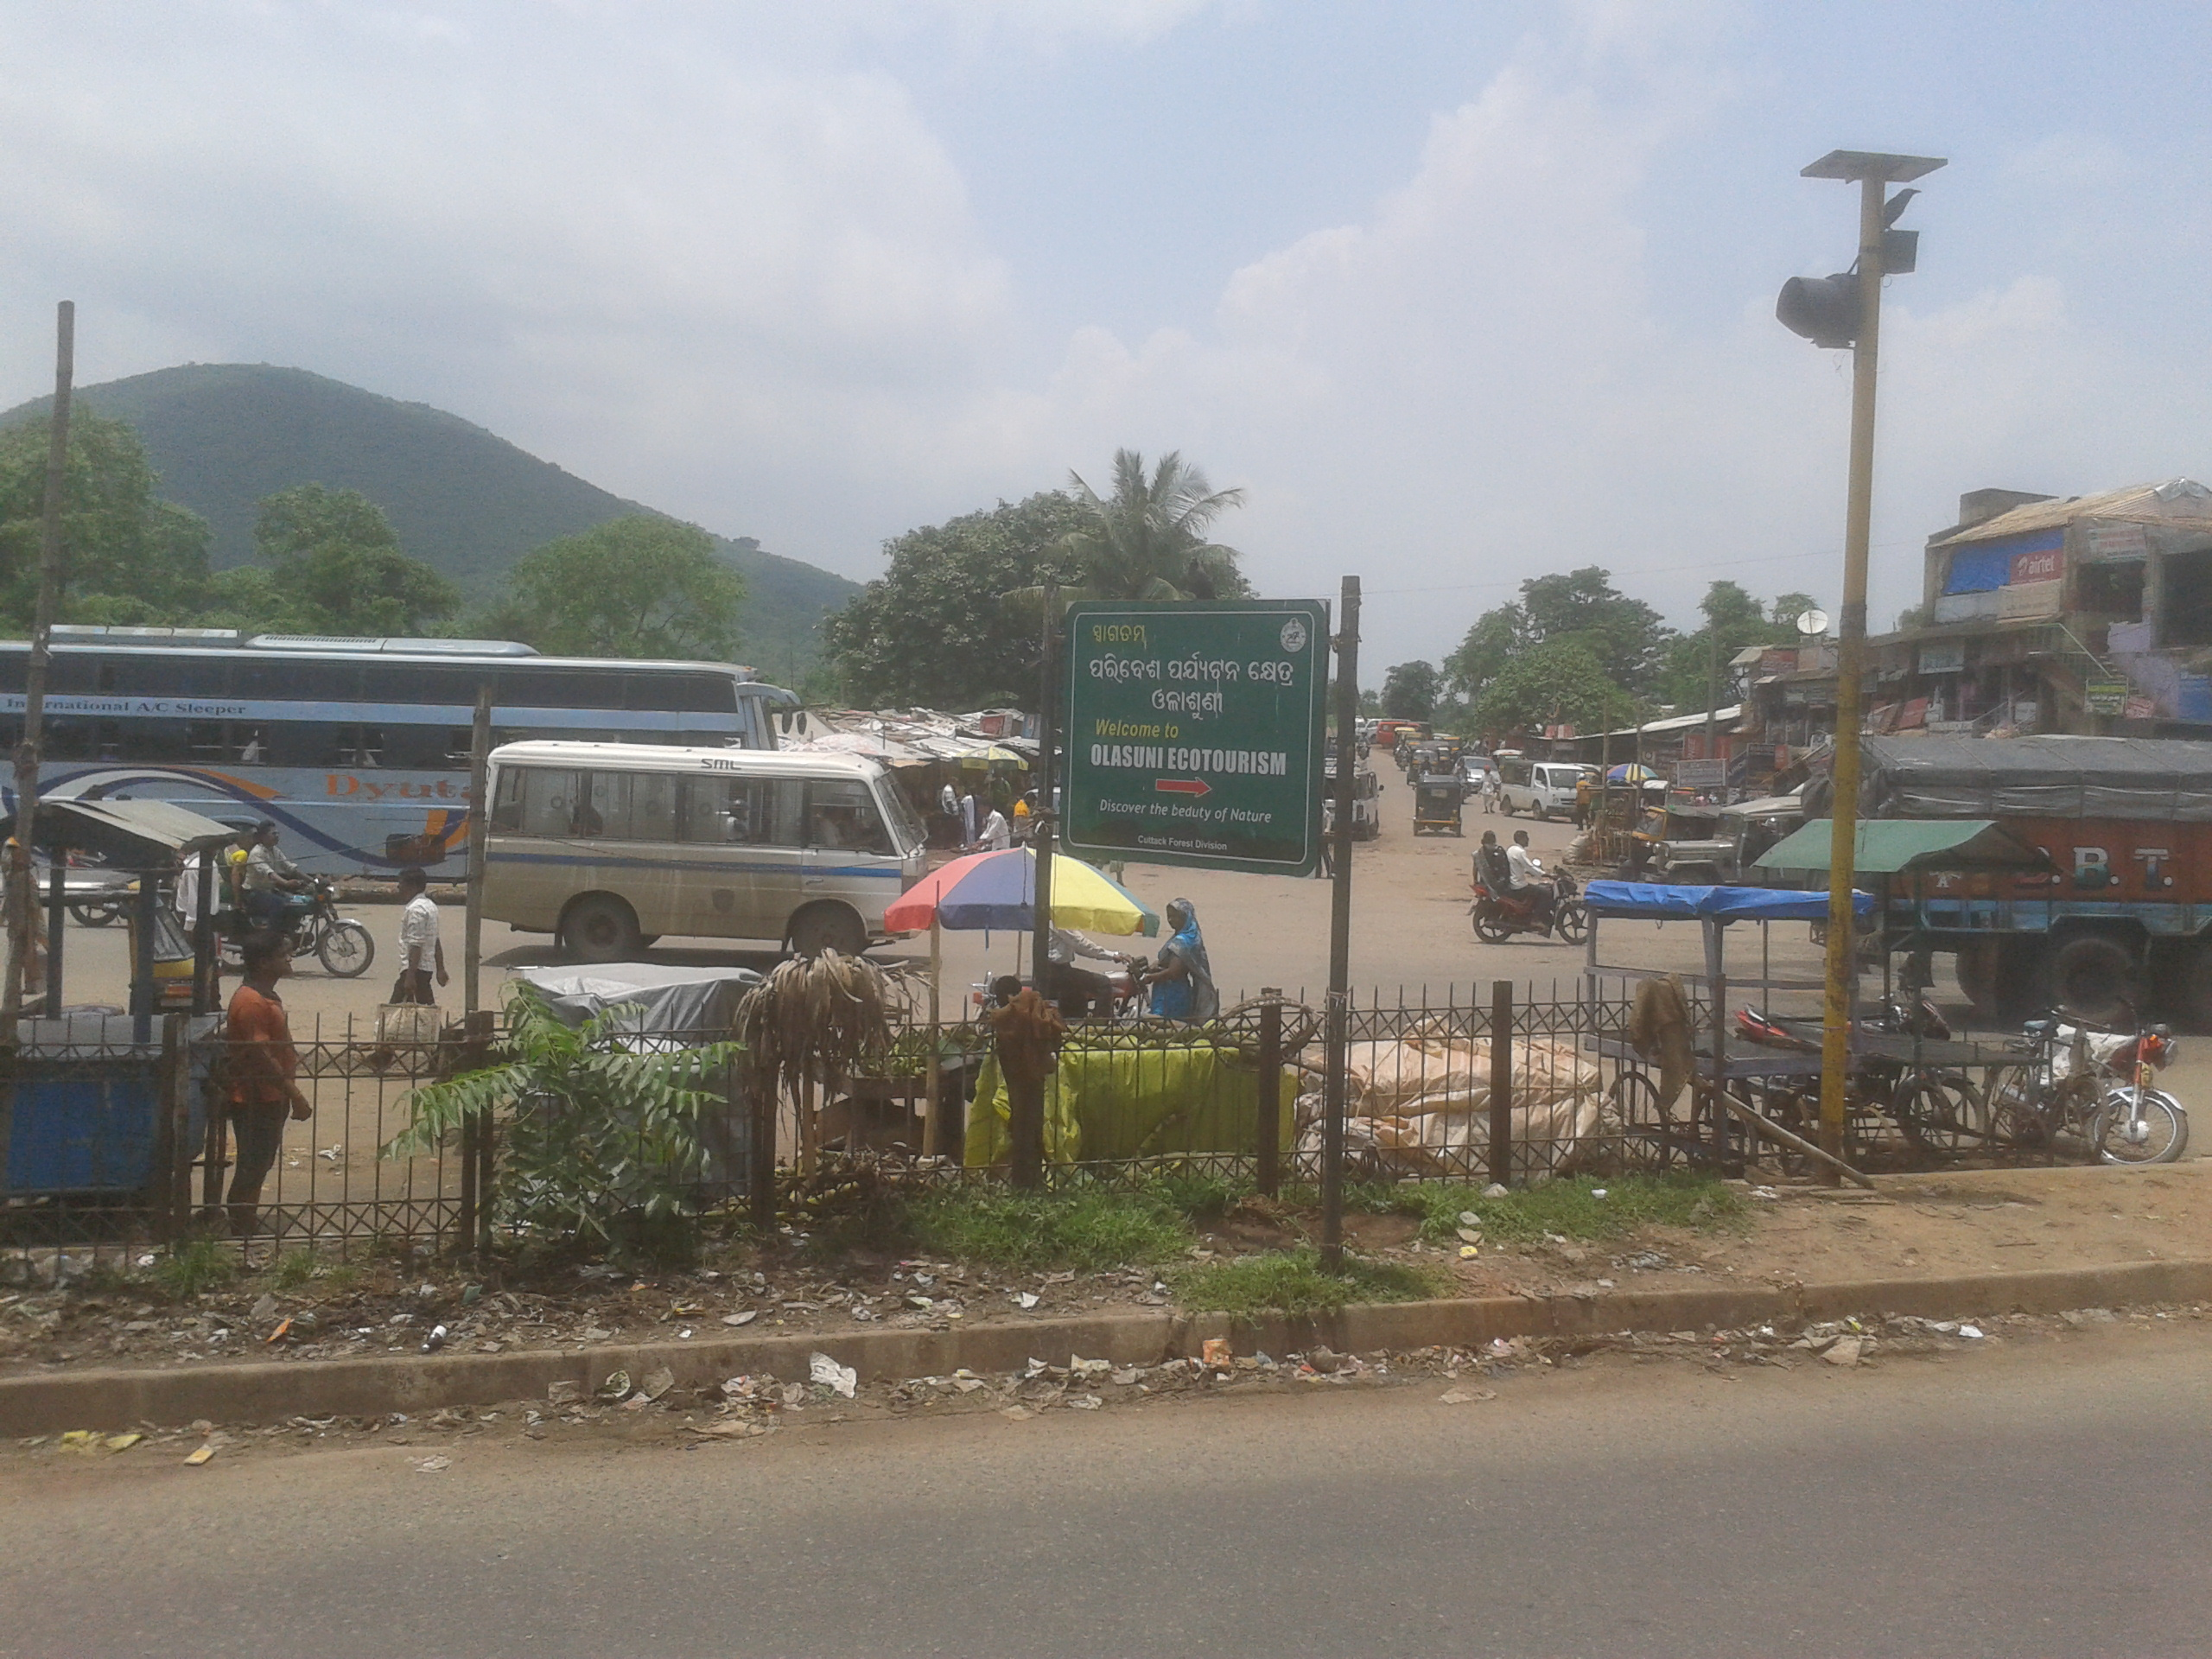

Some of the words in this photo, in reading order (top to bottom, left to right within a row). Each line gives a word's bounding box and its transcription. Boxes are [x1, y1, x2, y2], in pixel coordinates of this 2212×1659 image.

[1088, 619, 1150, 649] ସ୍ବାଗତମ୍
[1084, 648, 1166, 691] ପରିବେଶ
[1165, 648, 1243, 683] ପର୍ଯ୍ୟଟନ
[1243, 652, 1300, 693] କ୍ଷେତ୍ର
[1148, 684, 1228, 728] ଓଳାଶୁଣୀ
[1092, 713, 1162, 741] Welcome
[1159, 720, 1183, 747] to
[1088, 737, 1169, 773] OLASUNI
[1160, 745, 1290, 782] ECOTOURISM
[1147, 799, 1174, 823] the
[1167, 801, 1218, 826] beduty
[1209, 803, 1232, 826] of
[1227, 804, 1276, 829] Nature
[1135, 832, 1171, 851] Cuttack
[1166, 832, 1197, 852] Forest
[1192, 837, 1230, 853] Division